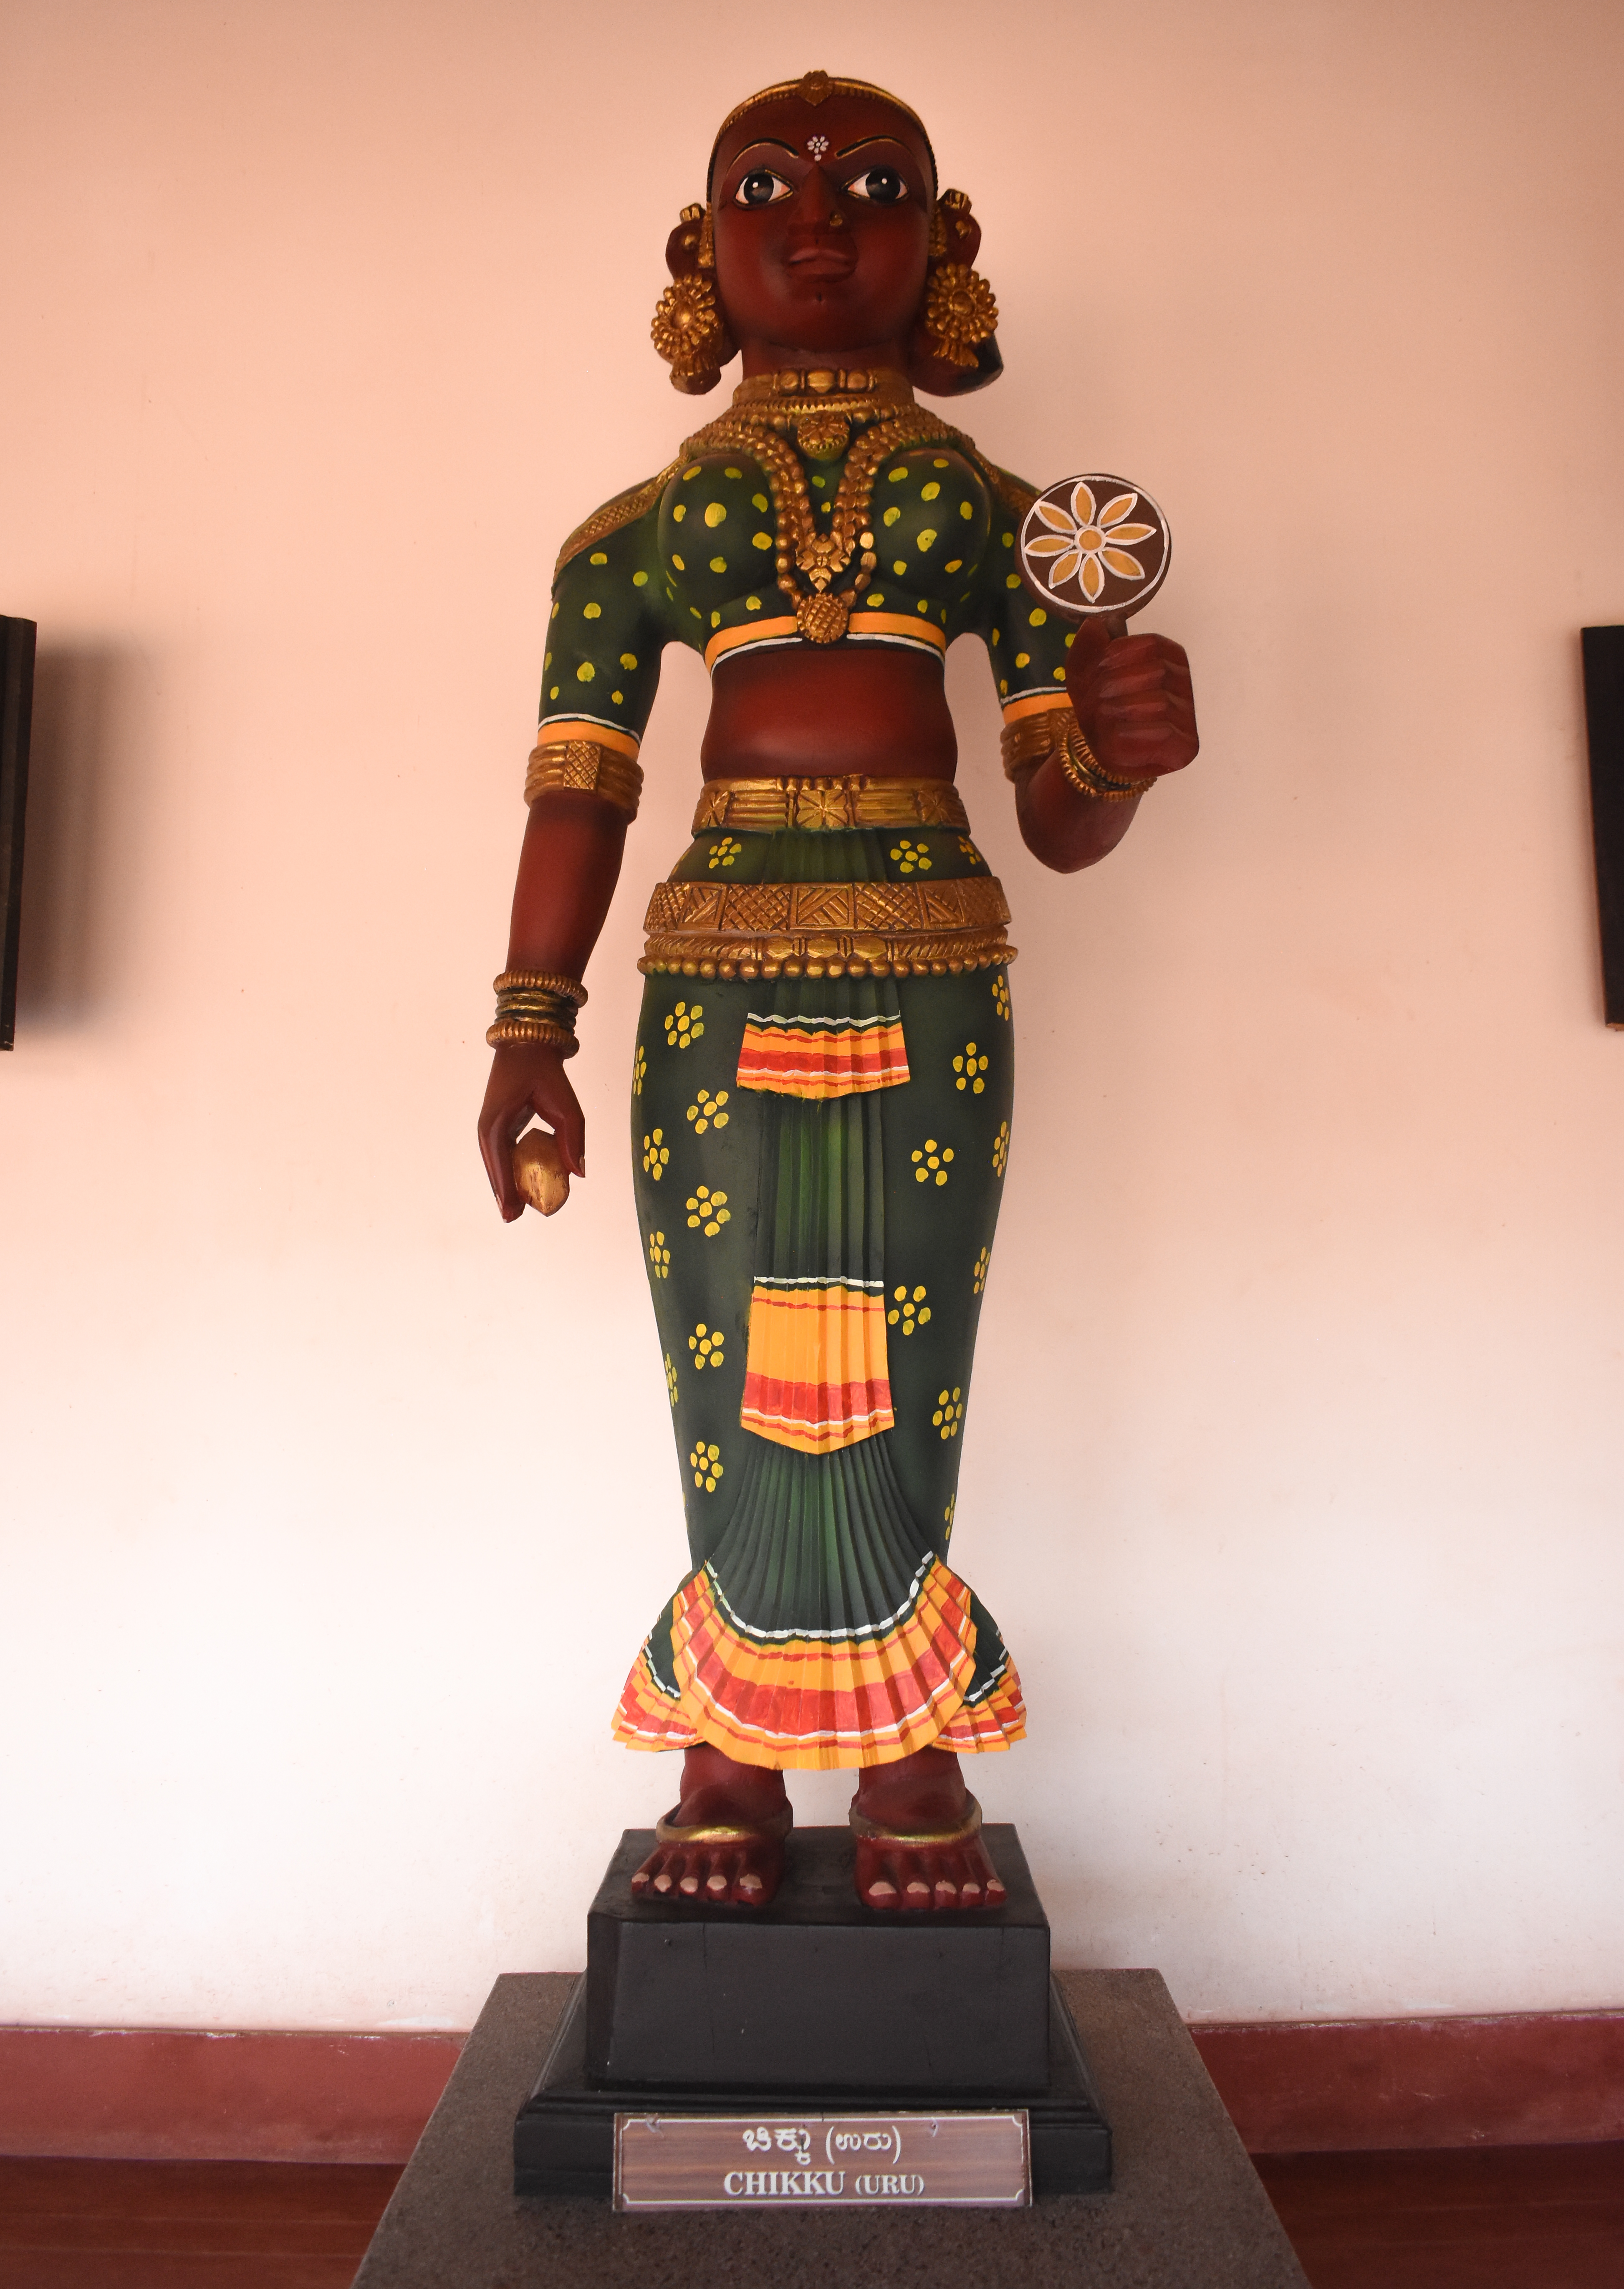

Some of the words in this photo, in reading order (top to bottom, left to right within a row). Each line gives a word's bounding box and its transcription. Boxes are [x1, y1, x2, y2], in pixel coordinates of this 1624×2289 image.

[736, 2117, 817, 2170] ಚಕ್ಕು
[830, 2132, 897, 2154] ಉರು
[719, 2160, 848, 2201] CHIKKU
[859, 2170, 921, 2199] URU